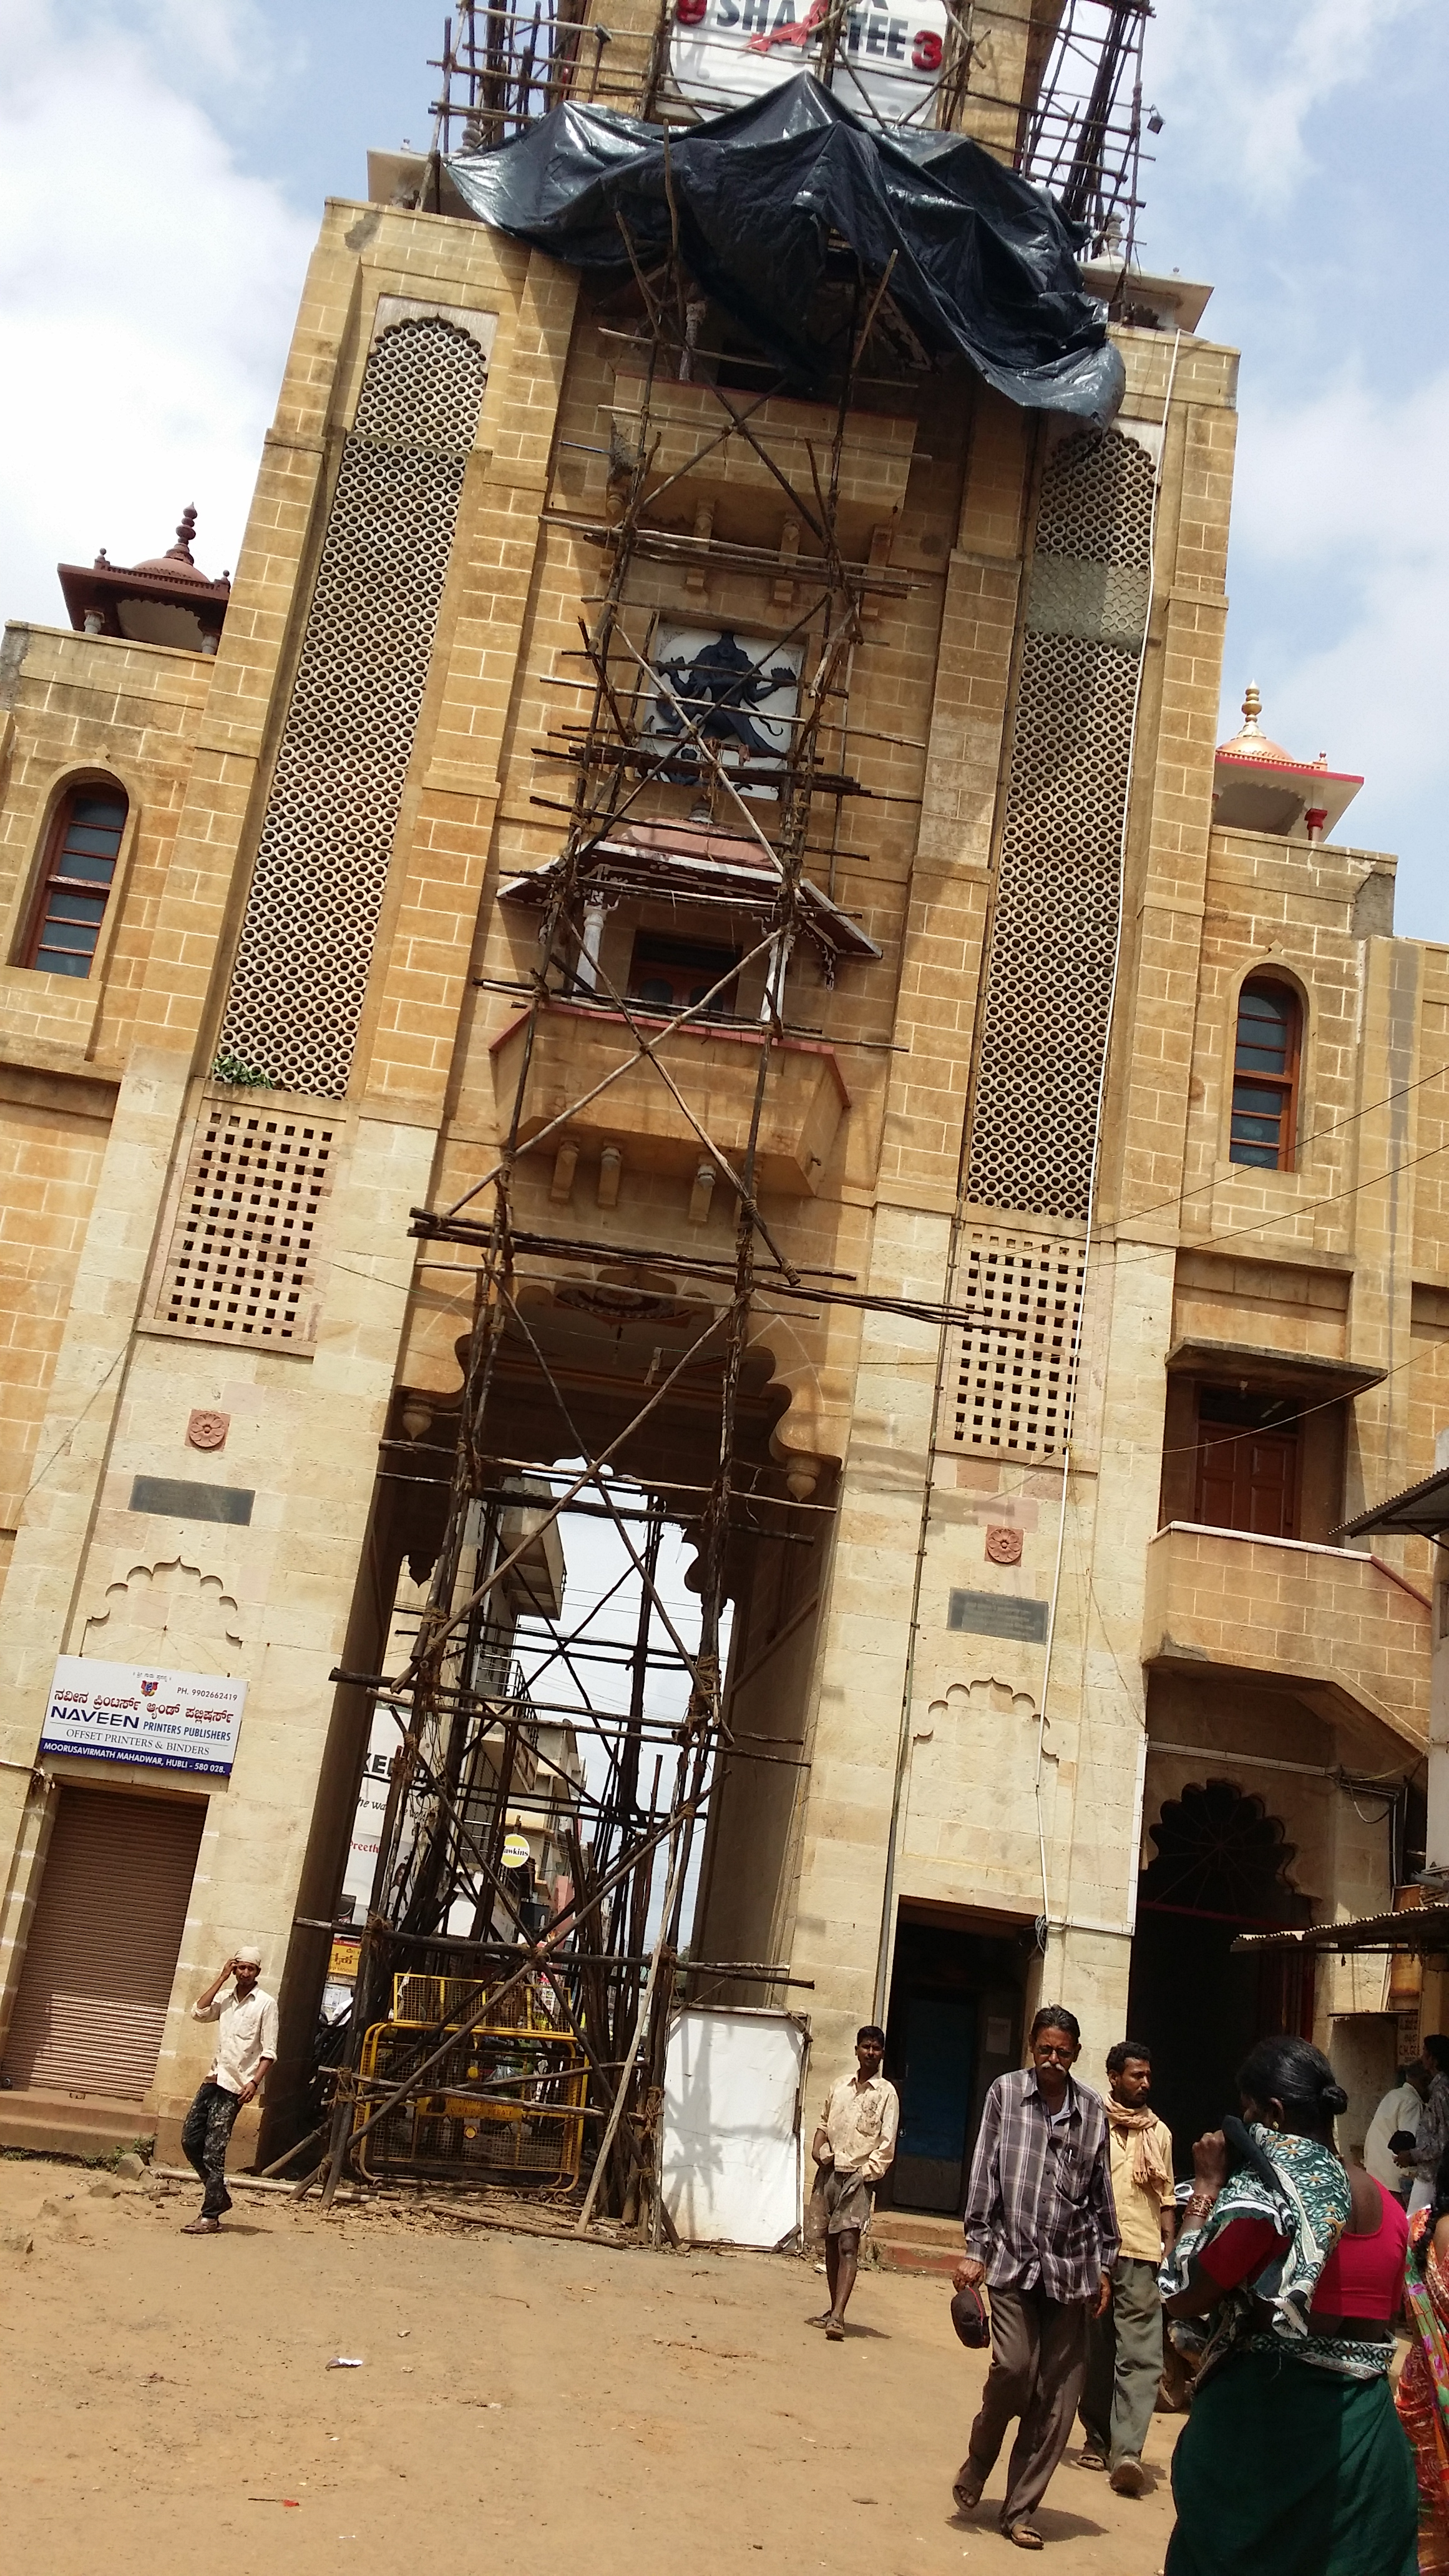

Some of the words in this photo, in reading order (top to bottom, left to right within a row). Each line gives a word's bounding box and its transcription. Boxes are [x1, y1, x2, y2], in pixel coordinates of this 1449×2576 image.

[53, 1686, 90, 1706] ನವೀನ
[48, 1704, 142, 1732] NAVEEN
[92, 1692, 144, 1714] ಪ್ರಿಂಟಸ್೯
[144, 1700, 183, 1723] ಆ್ಯಂಡ್
[175, 1683, 190, 1699] PH.
[182, 1703, 236, 1727] ಪಜ್ಲಷರ್ಸ್
[189, 1687, 240, 1704] 9902662419
[42, 1739, 120, 1760] MOORUSAVIRMATH
[64, 1725, 105, 1742] OFFSET
[103, 1730, 155, 1749] PRINTERS
[112, 1750, 164, 1767] MAHADWAR,
[152, 1735, 165, 1753] &
[139, 1719, 184, 1737] PRINTERS
[163, 1755, 189, 1770] HUBLI
[165, 1739, 213, 1759] BINDERS
[180, 1723, 234, 1744] PUBLISHERS
[192, 1759, 228, 1775] 580028.